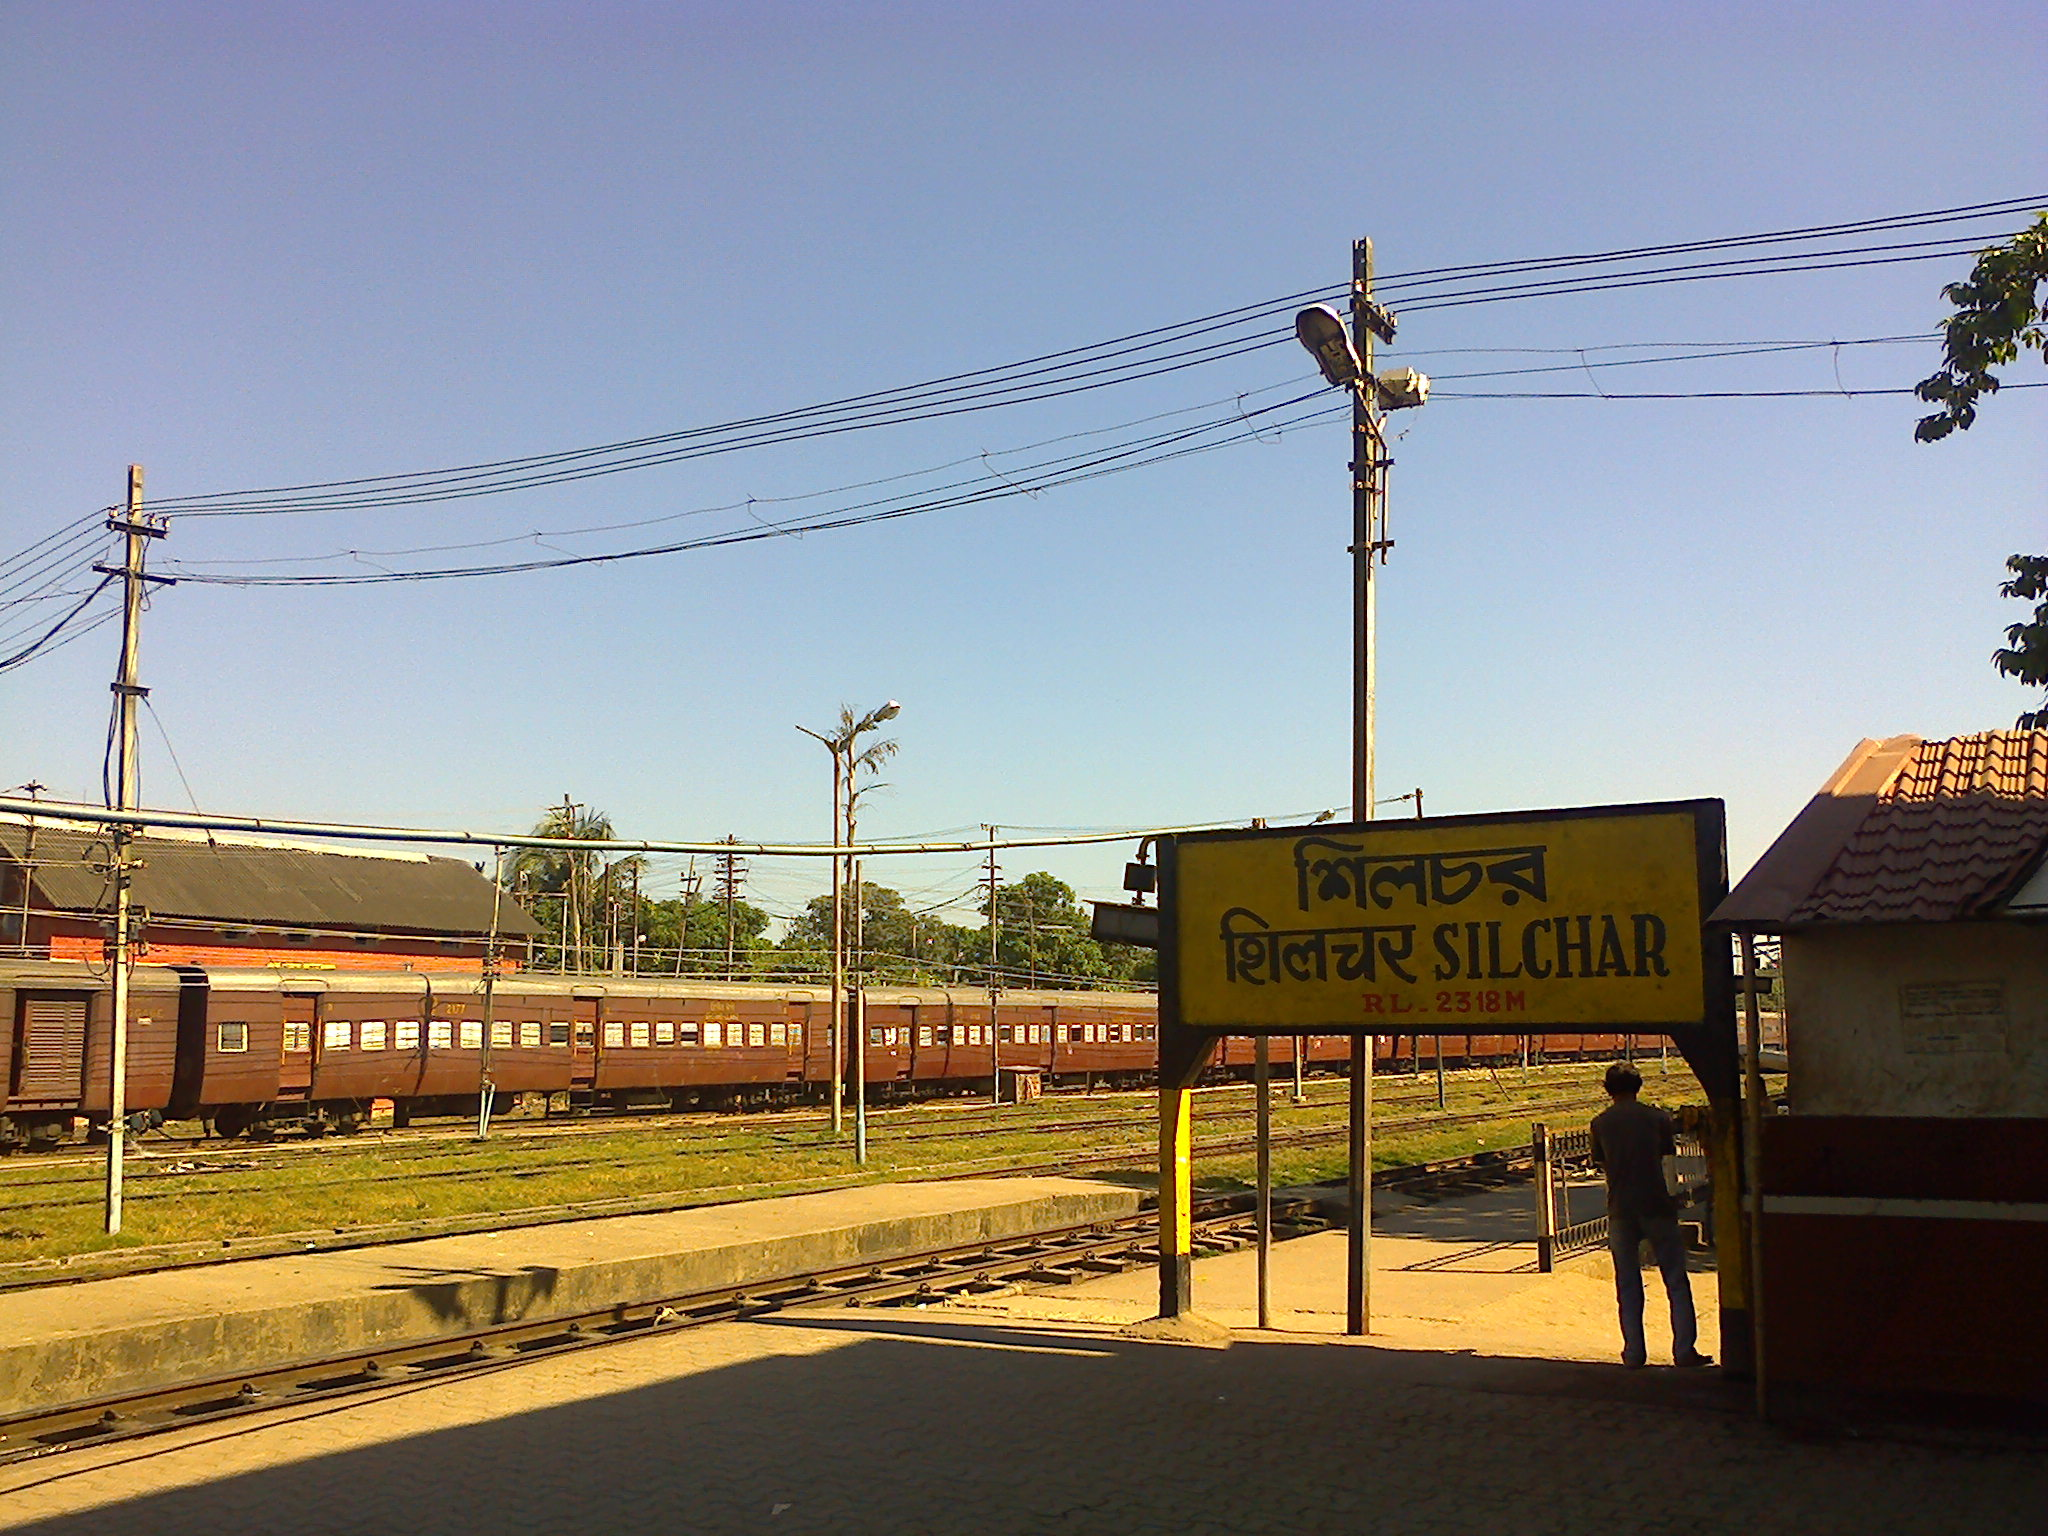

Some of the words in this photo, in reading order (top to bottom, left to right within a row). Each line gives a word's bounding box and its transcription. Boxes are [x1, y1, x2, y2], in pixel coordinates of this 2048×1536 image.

[1279, 823, 1554, 914] শিলচর
[1206, 899, 1424, 991] शिलचर
[1422, 903, 1672, 990] SILCHAR
[1354, 966, 1538, 1020] RL.2318M